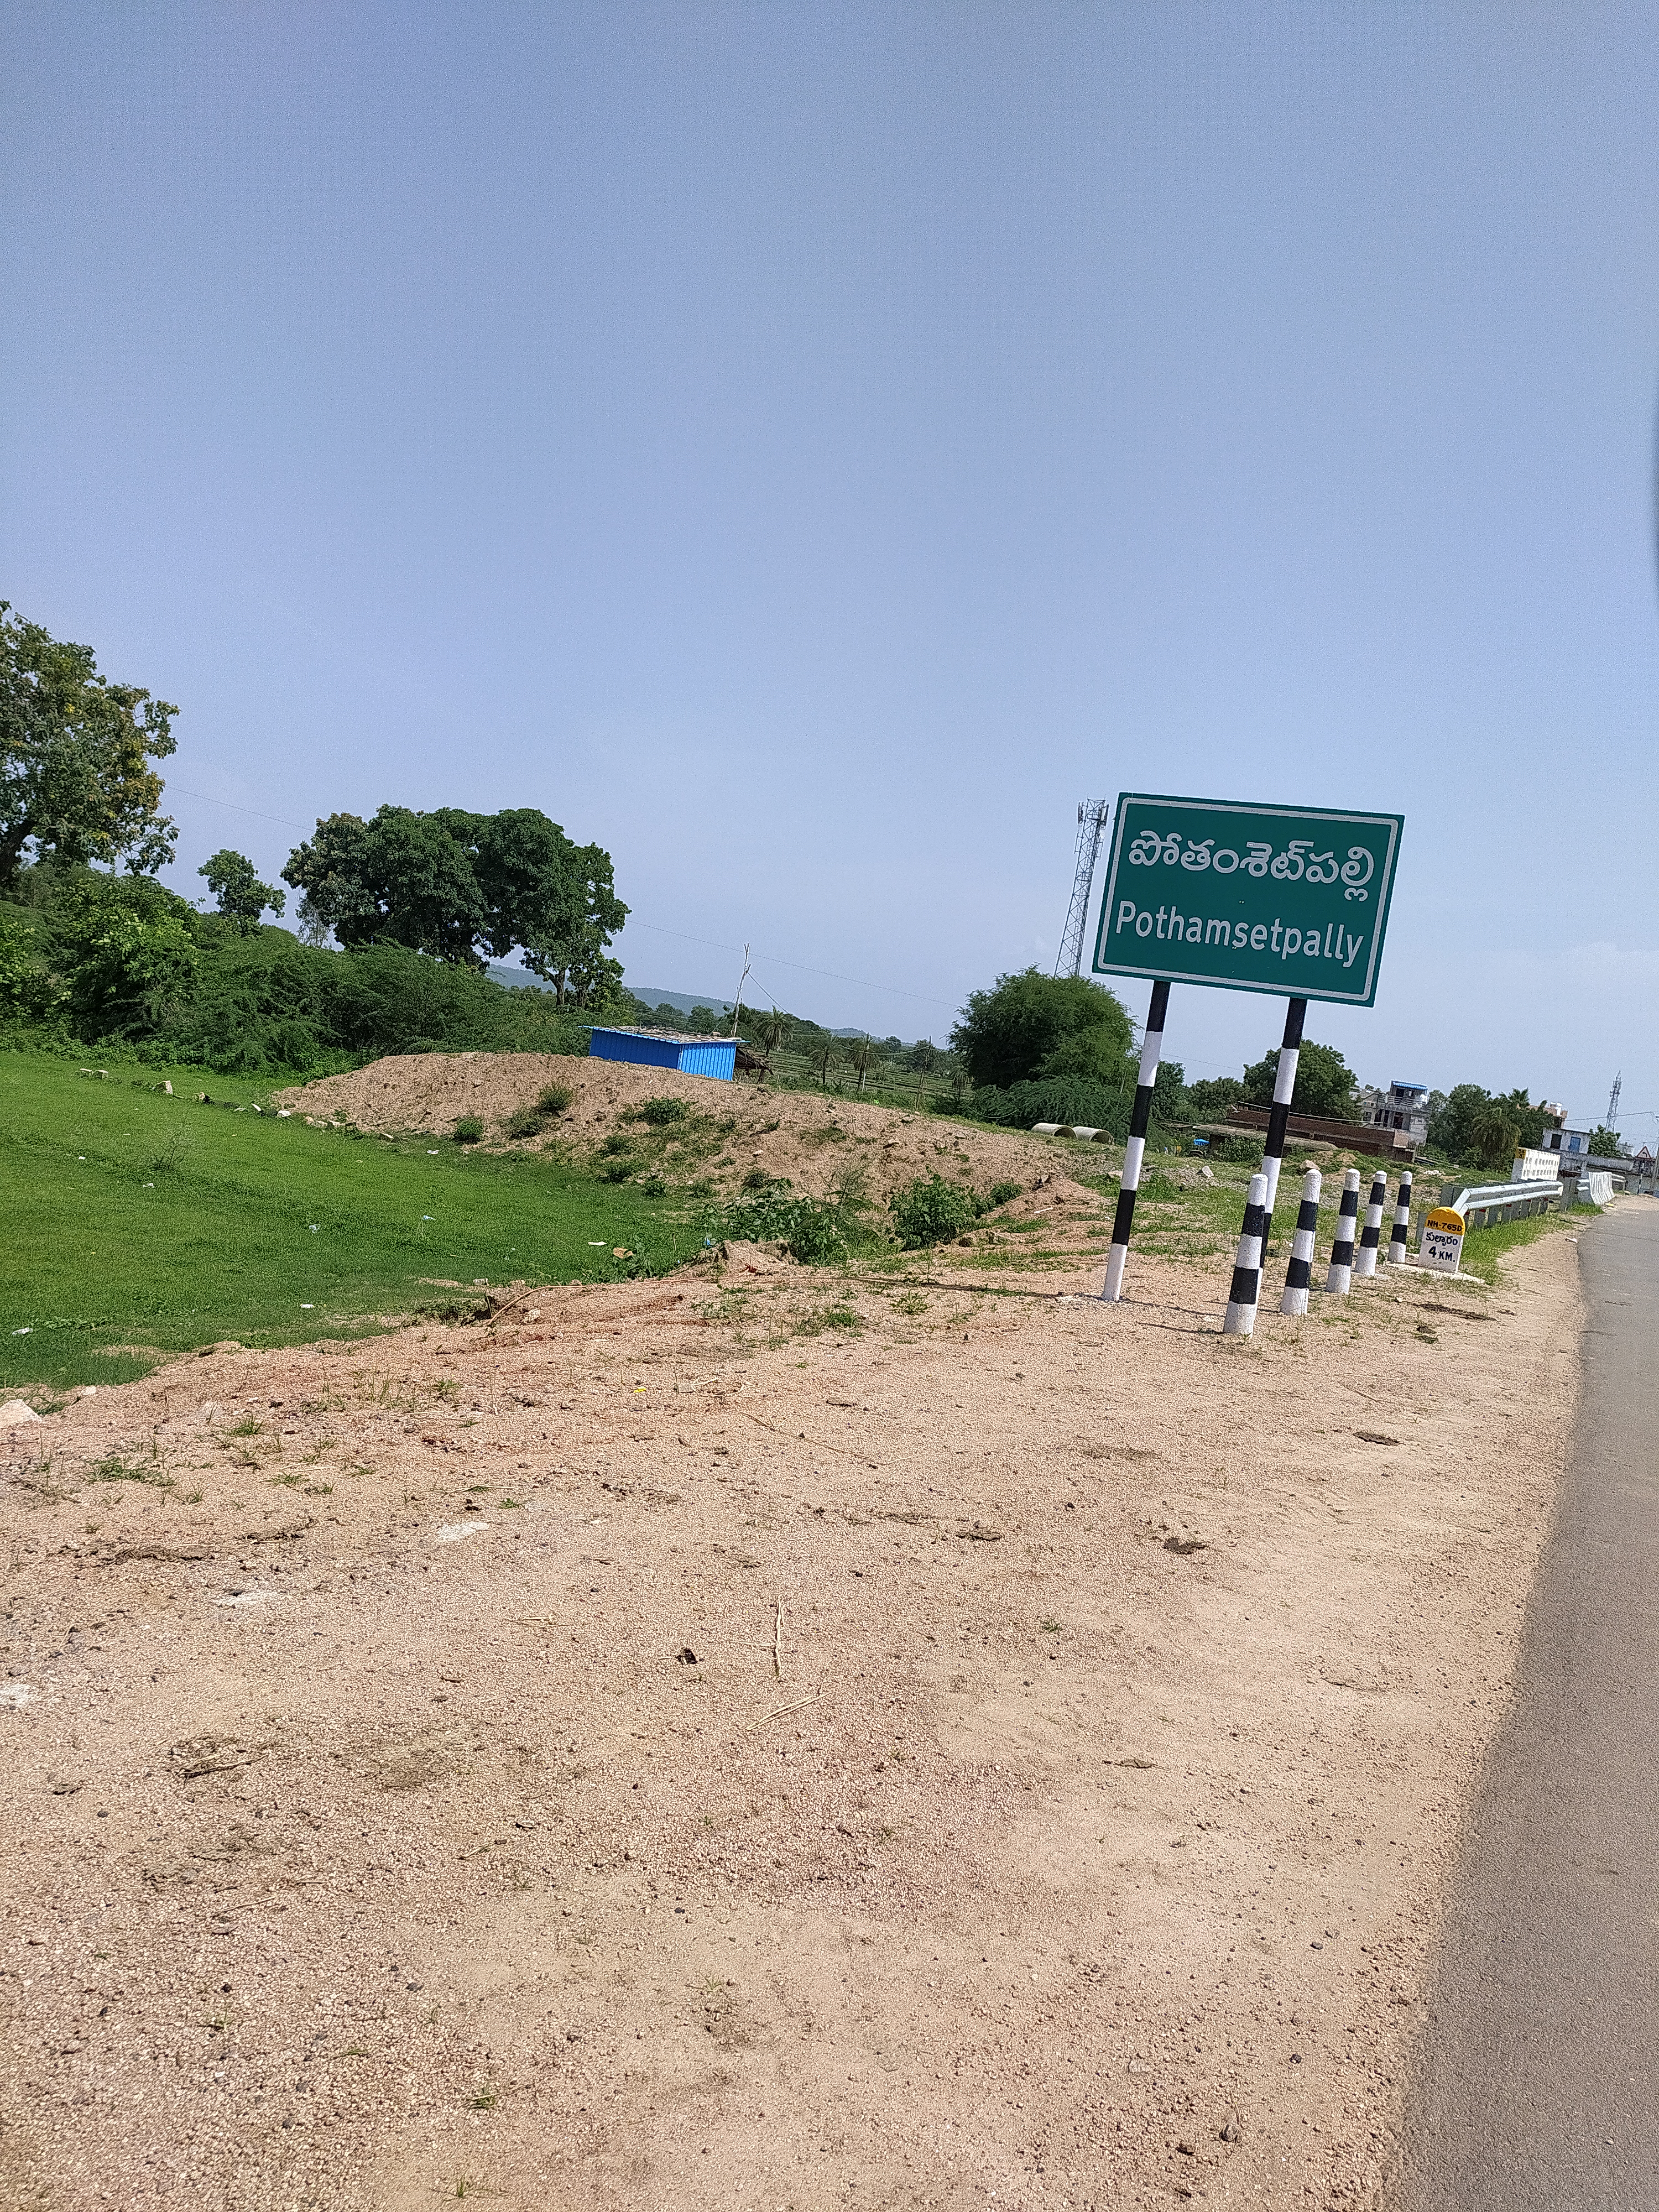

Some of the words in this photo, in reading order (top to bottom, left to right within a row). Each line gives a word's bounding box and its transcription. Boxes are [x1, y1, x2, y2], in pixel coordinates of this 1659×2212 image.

[1125, 826, 1378, 903] పోతంశెట్పల్లి
[1112, 898, 1366, 968] Pothamsetpally
[1425, 1214, 1465, 1233] NH-765D
[1425, 1230, 1460, 1248] కుల్చారం
[1425, 1241, 1456, 1264] 4KM.